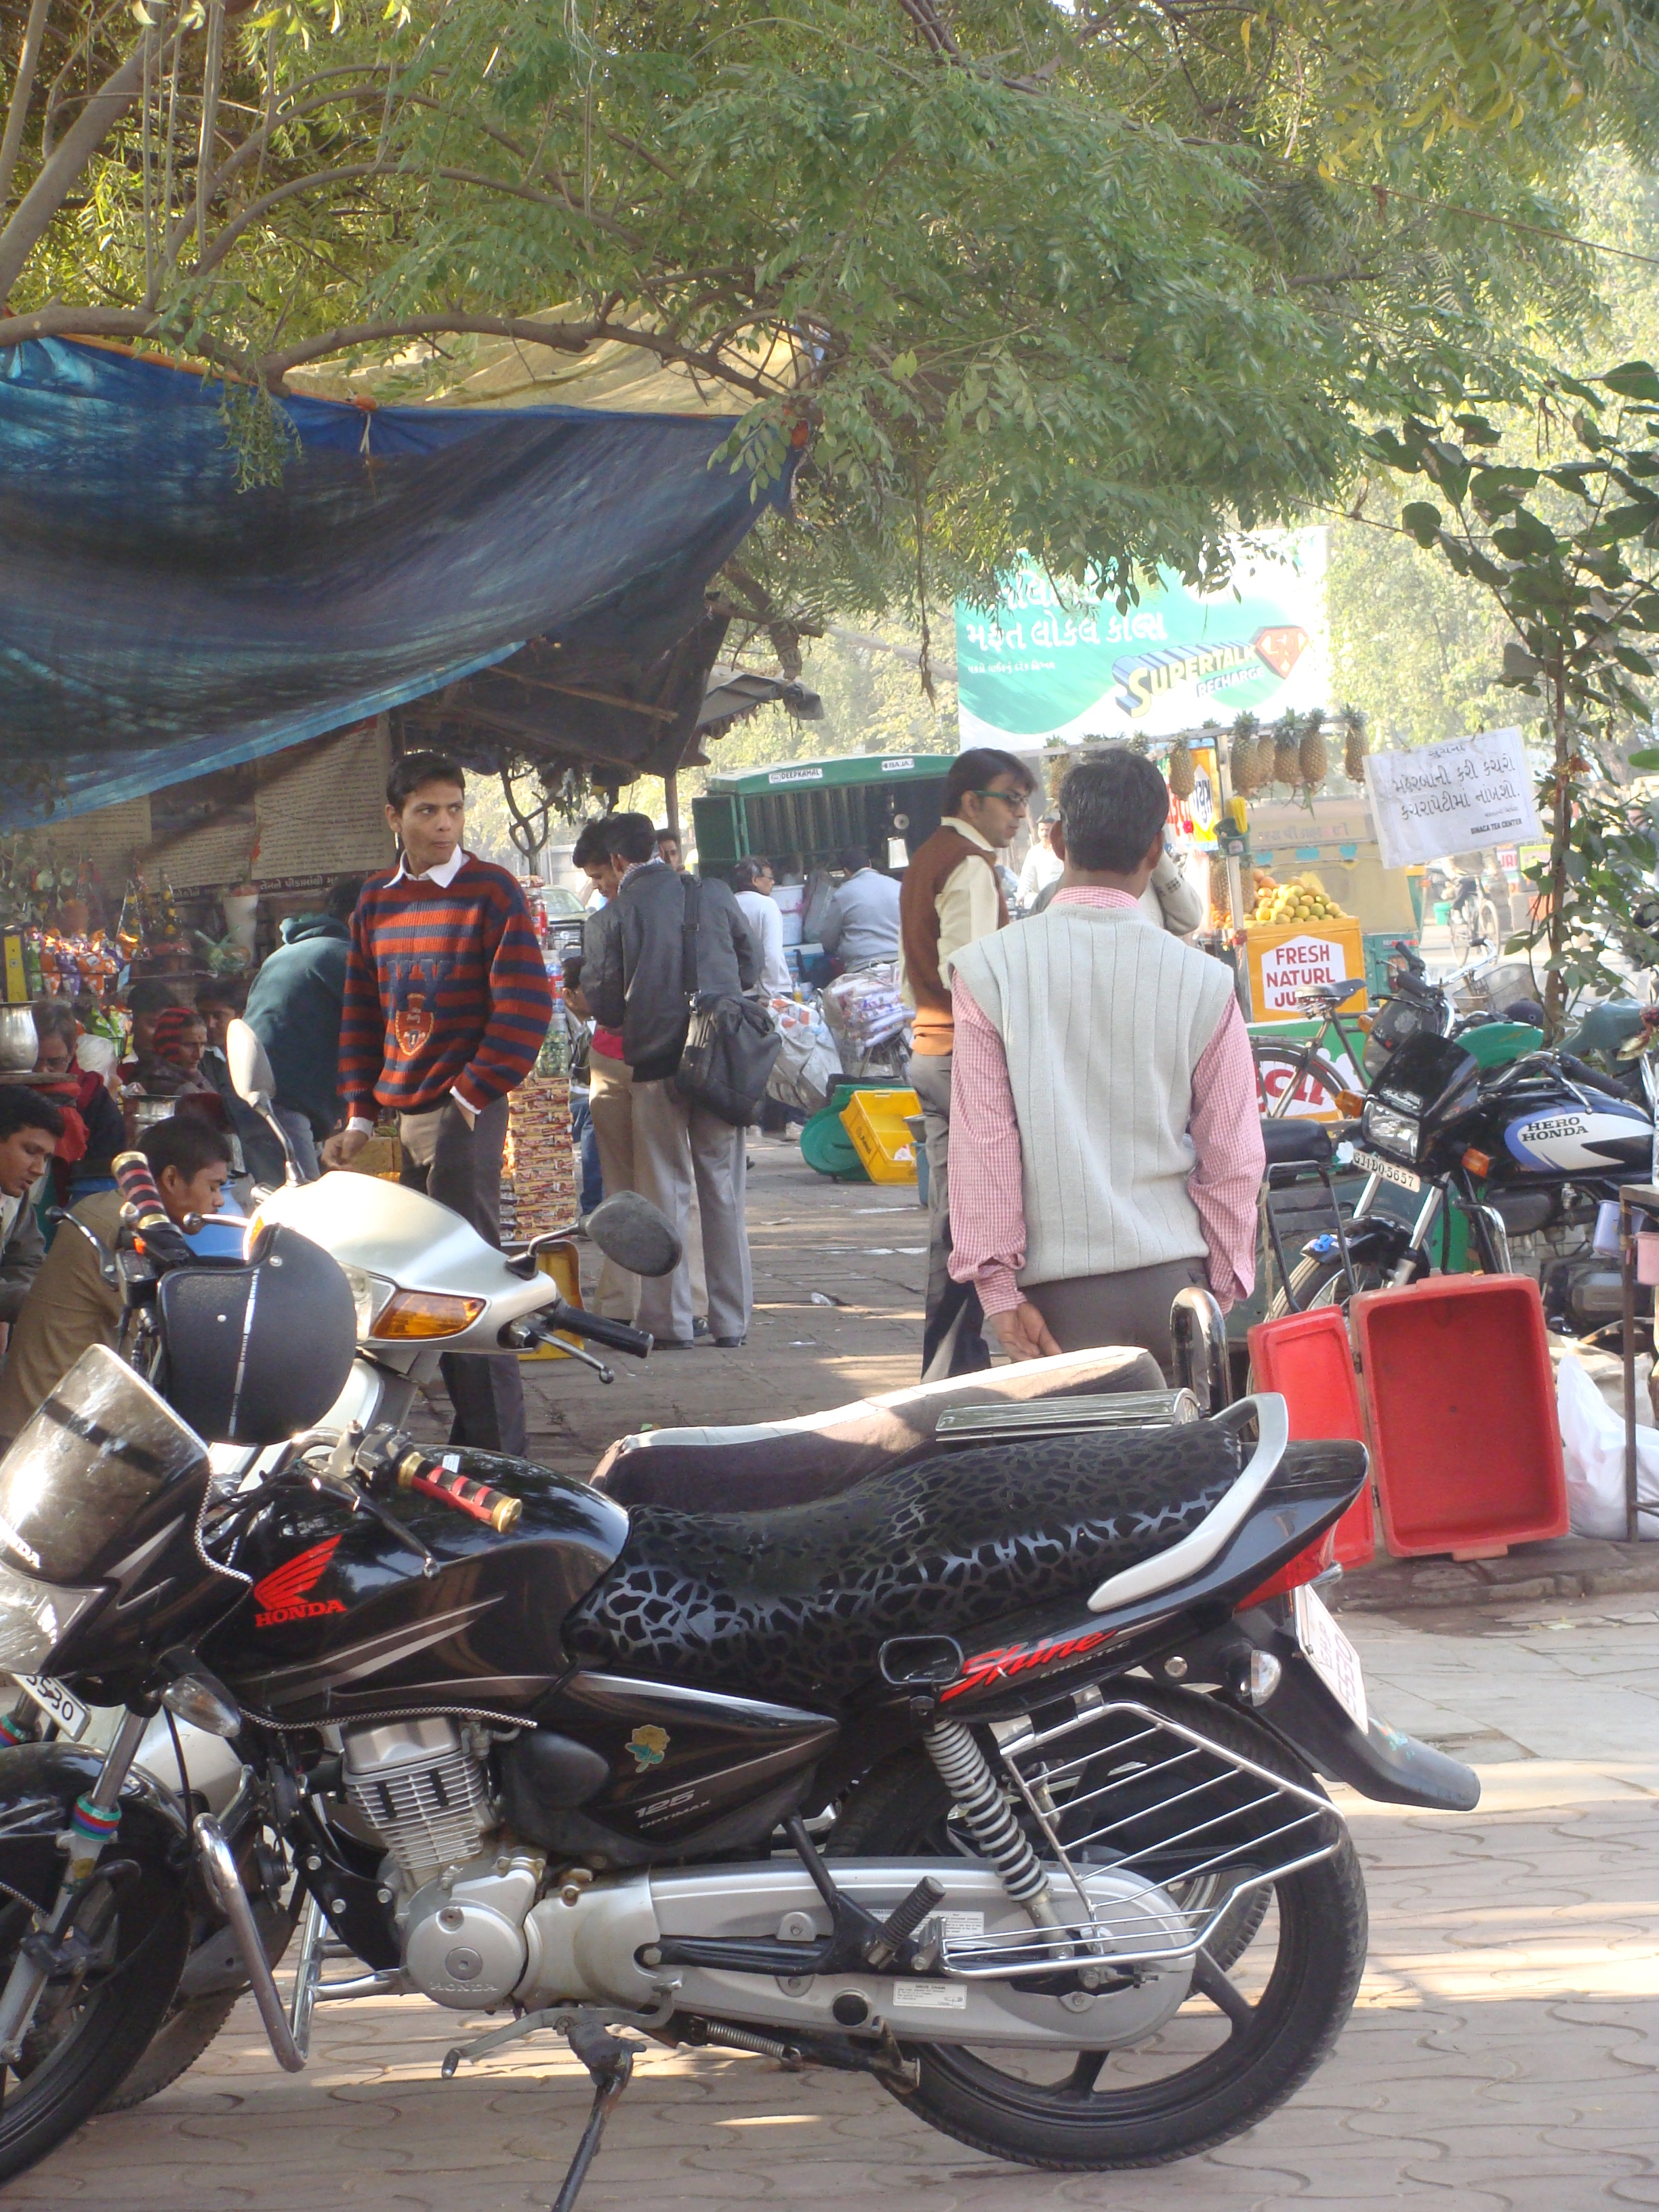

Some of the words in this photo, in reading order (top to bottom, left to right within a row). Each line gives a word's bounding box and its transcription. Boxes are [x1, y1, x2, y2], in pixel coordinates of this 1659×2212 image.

[961, 615, 1029, 657] મફત
[1028, 609, 1102, 654] લોકલ
[1102, 607, 1174, 648] કાલ્સ
[1102, 632, 1261, 726] SUPERTALK
[1387, 762, 1456, 797] મહેરબાની
[1399, 786, 1473, 825] કચરાપટીમા
[1452, 755, 1483, 783] કરી
[1475, 751, 1517, 779] કચરો
[1471, 777, 1523, 808] નાખશોઽ
[1271, 943, 1334, 968] FRESH
[1263, 966, 1338, 992] NATURL
[1512, 1113, 1589, 1147] HONDA
[249, 1595, 352, 1631] HONDA
[933, 1622, 1123, 1707] Shine